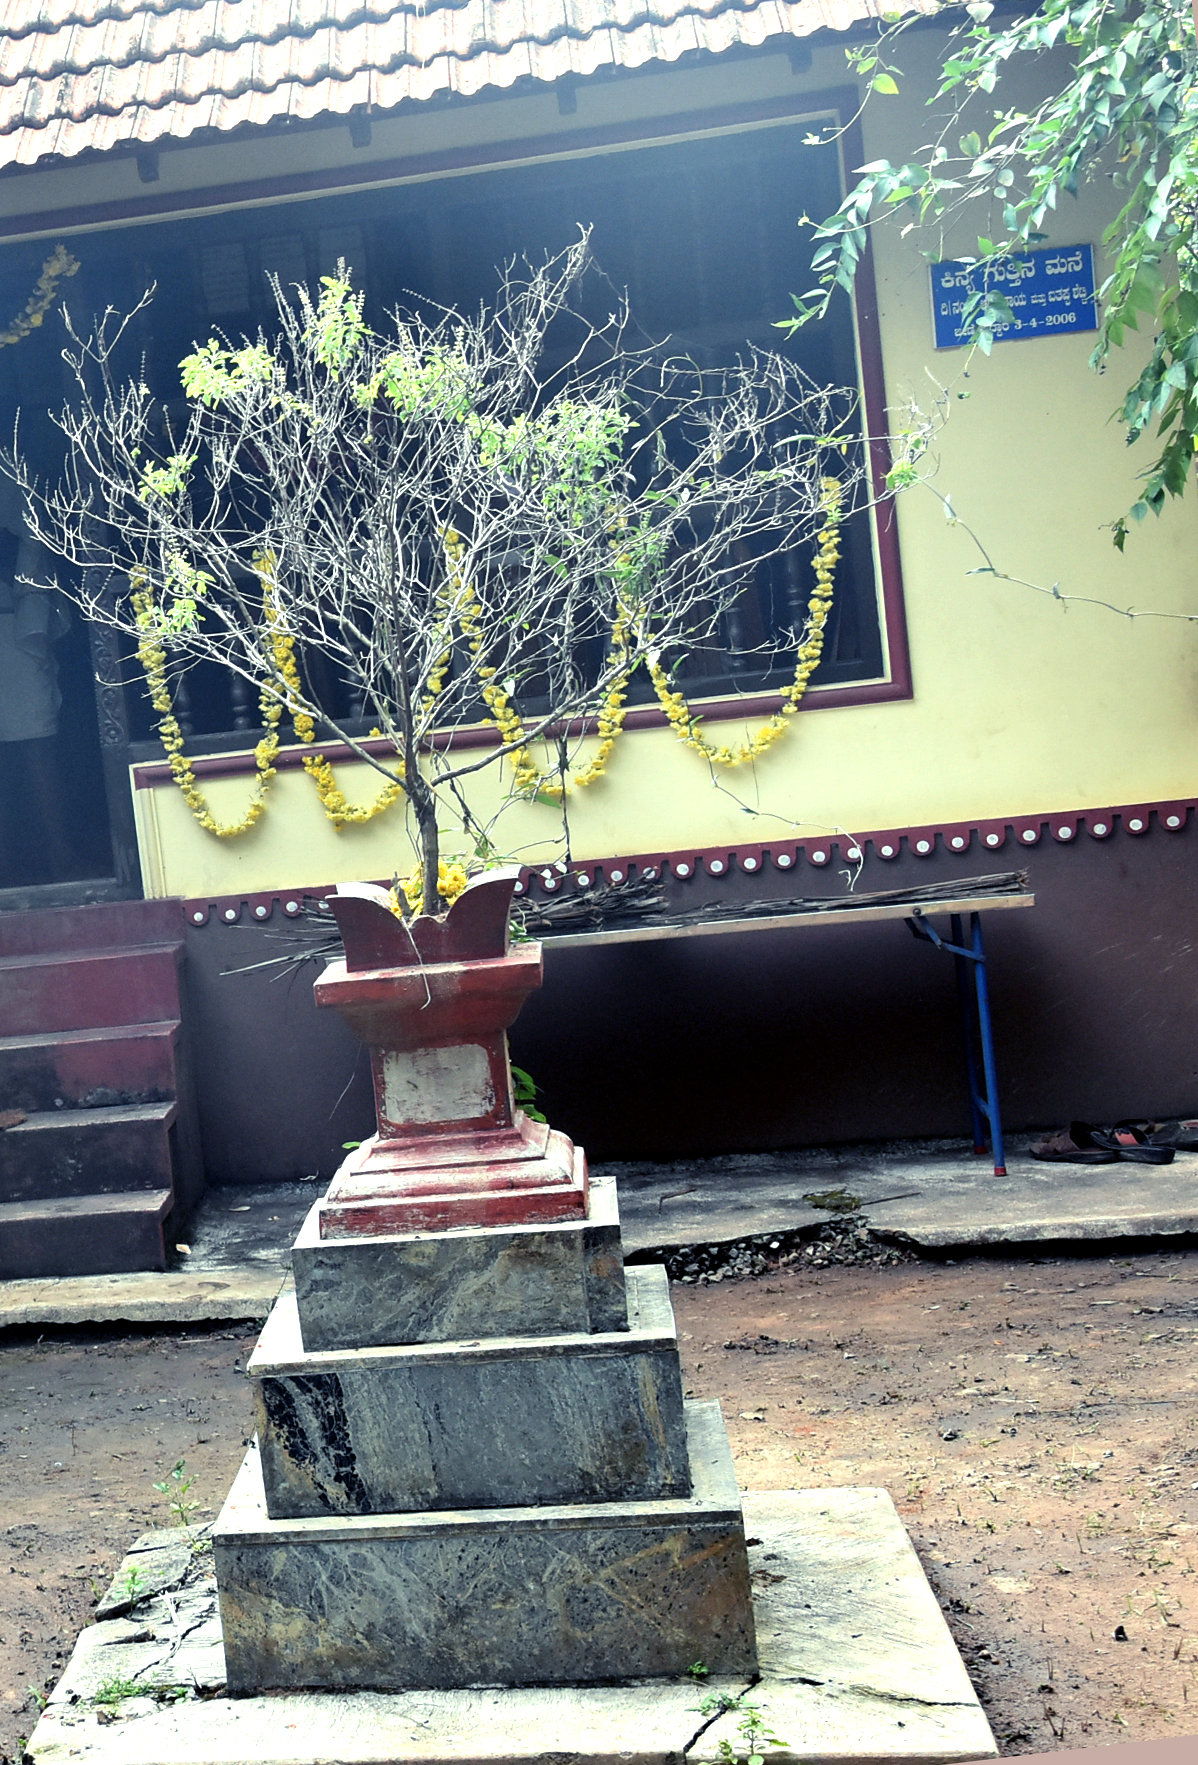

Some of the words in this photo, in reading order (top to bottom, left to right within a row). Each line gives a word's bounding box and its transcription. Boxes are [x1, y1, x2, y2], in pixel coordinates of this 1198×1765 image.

[936, 261, 983, 296] ಕಿನ್ಯ
[977, 251, 1041, 292] ಗುತ್ತನ
[1026, 279, 1092, 310] ಎತ್ತು ಐತಪ್ಪಳೆಟ್ಟ
[1037, 245, 1088, 281] ಮನೆ
[1037, 311, 1078, 328] -2006